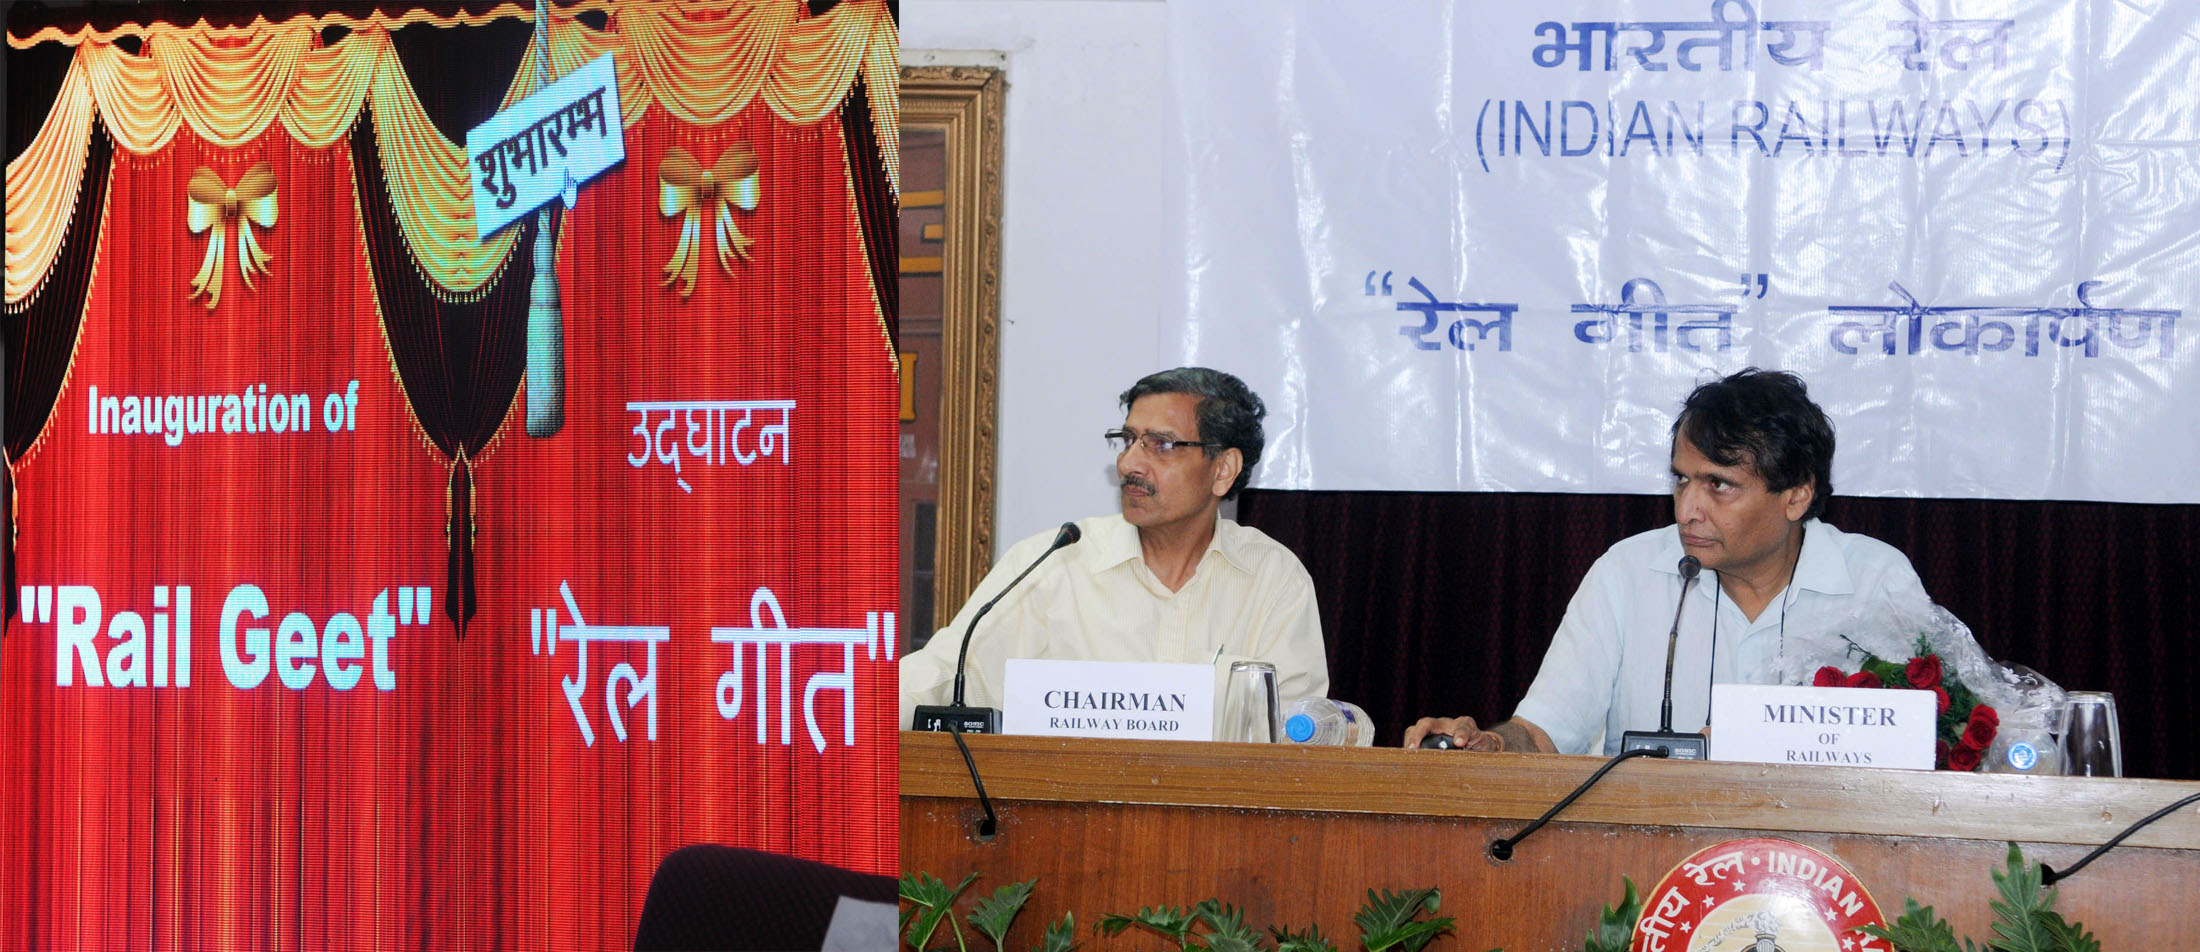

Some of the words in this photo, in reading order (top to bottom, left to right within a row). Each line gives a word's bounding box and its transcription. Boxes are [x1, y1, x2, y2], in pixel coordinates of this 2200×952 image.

[1526, 2, 1834, 75] भारतीय
[1883, 0, 2017, 73] रेल
[469, 81, 611, 212] शुभारम्भ
[1491, 96, 1711, 161] INDIAN
[1730, 93, 2055, 165] RAILWAYS
[1392, 267, 1522, 356] रेल
[1567, 273, 1739, 357] गीत
[1827, 276, 2183, 366] लोकार्पण
[82, 380, 319, 451] Inauguration
[320, 374, 362, 437] of
[625, 396, 797, 498] उद्‌घाटन
[25, 564, 211, 701] "Rail
[211, 573, 424, 702] ६६९९
[551, 577, 675, 750] रेल
[706, 579, 874, 759] गीत
[1045, 712, 1125, 732] RAILWAY
[1039, 683, 1192, 719] CHAIRMAN
[1121, 712, 1185, 737] BOARD
[1813, 727, 1844, 747] OF
[1781, 742, 1876, 769] RAILWAYS
[1760, 698, 1900, 729] MINISTER
[1681, 845, 1753, 893] रेल
[1765, 846, 1869, 921] INDIAN